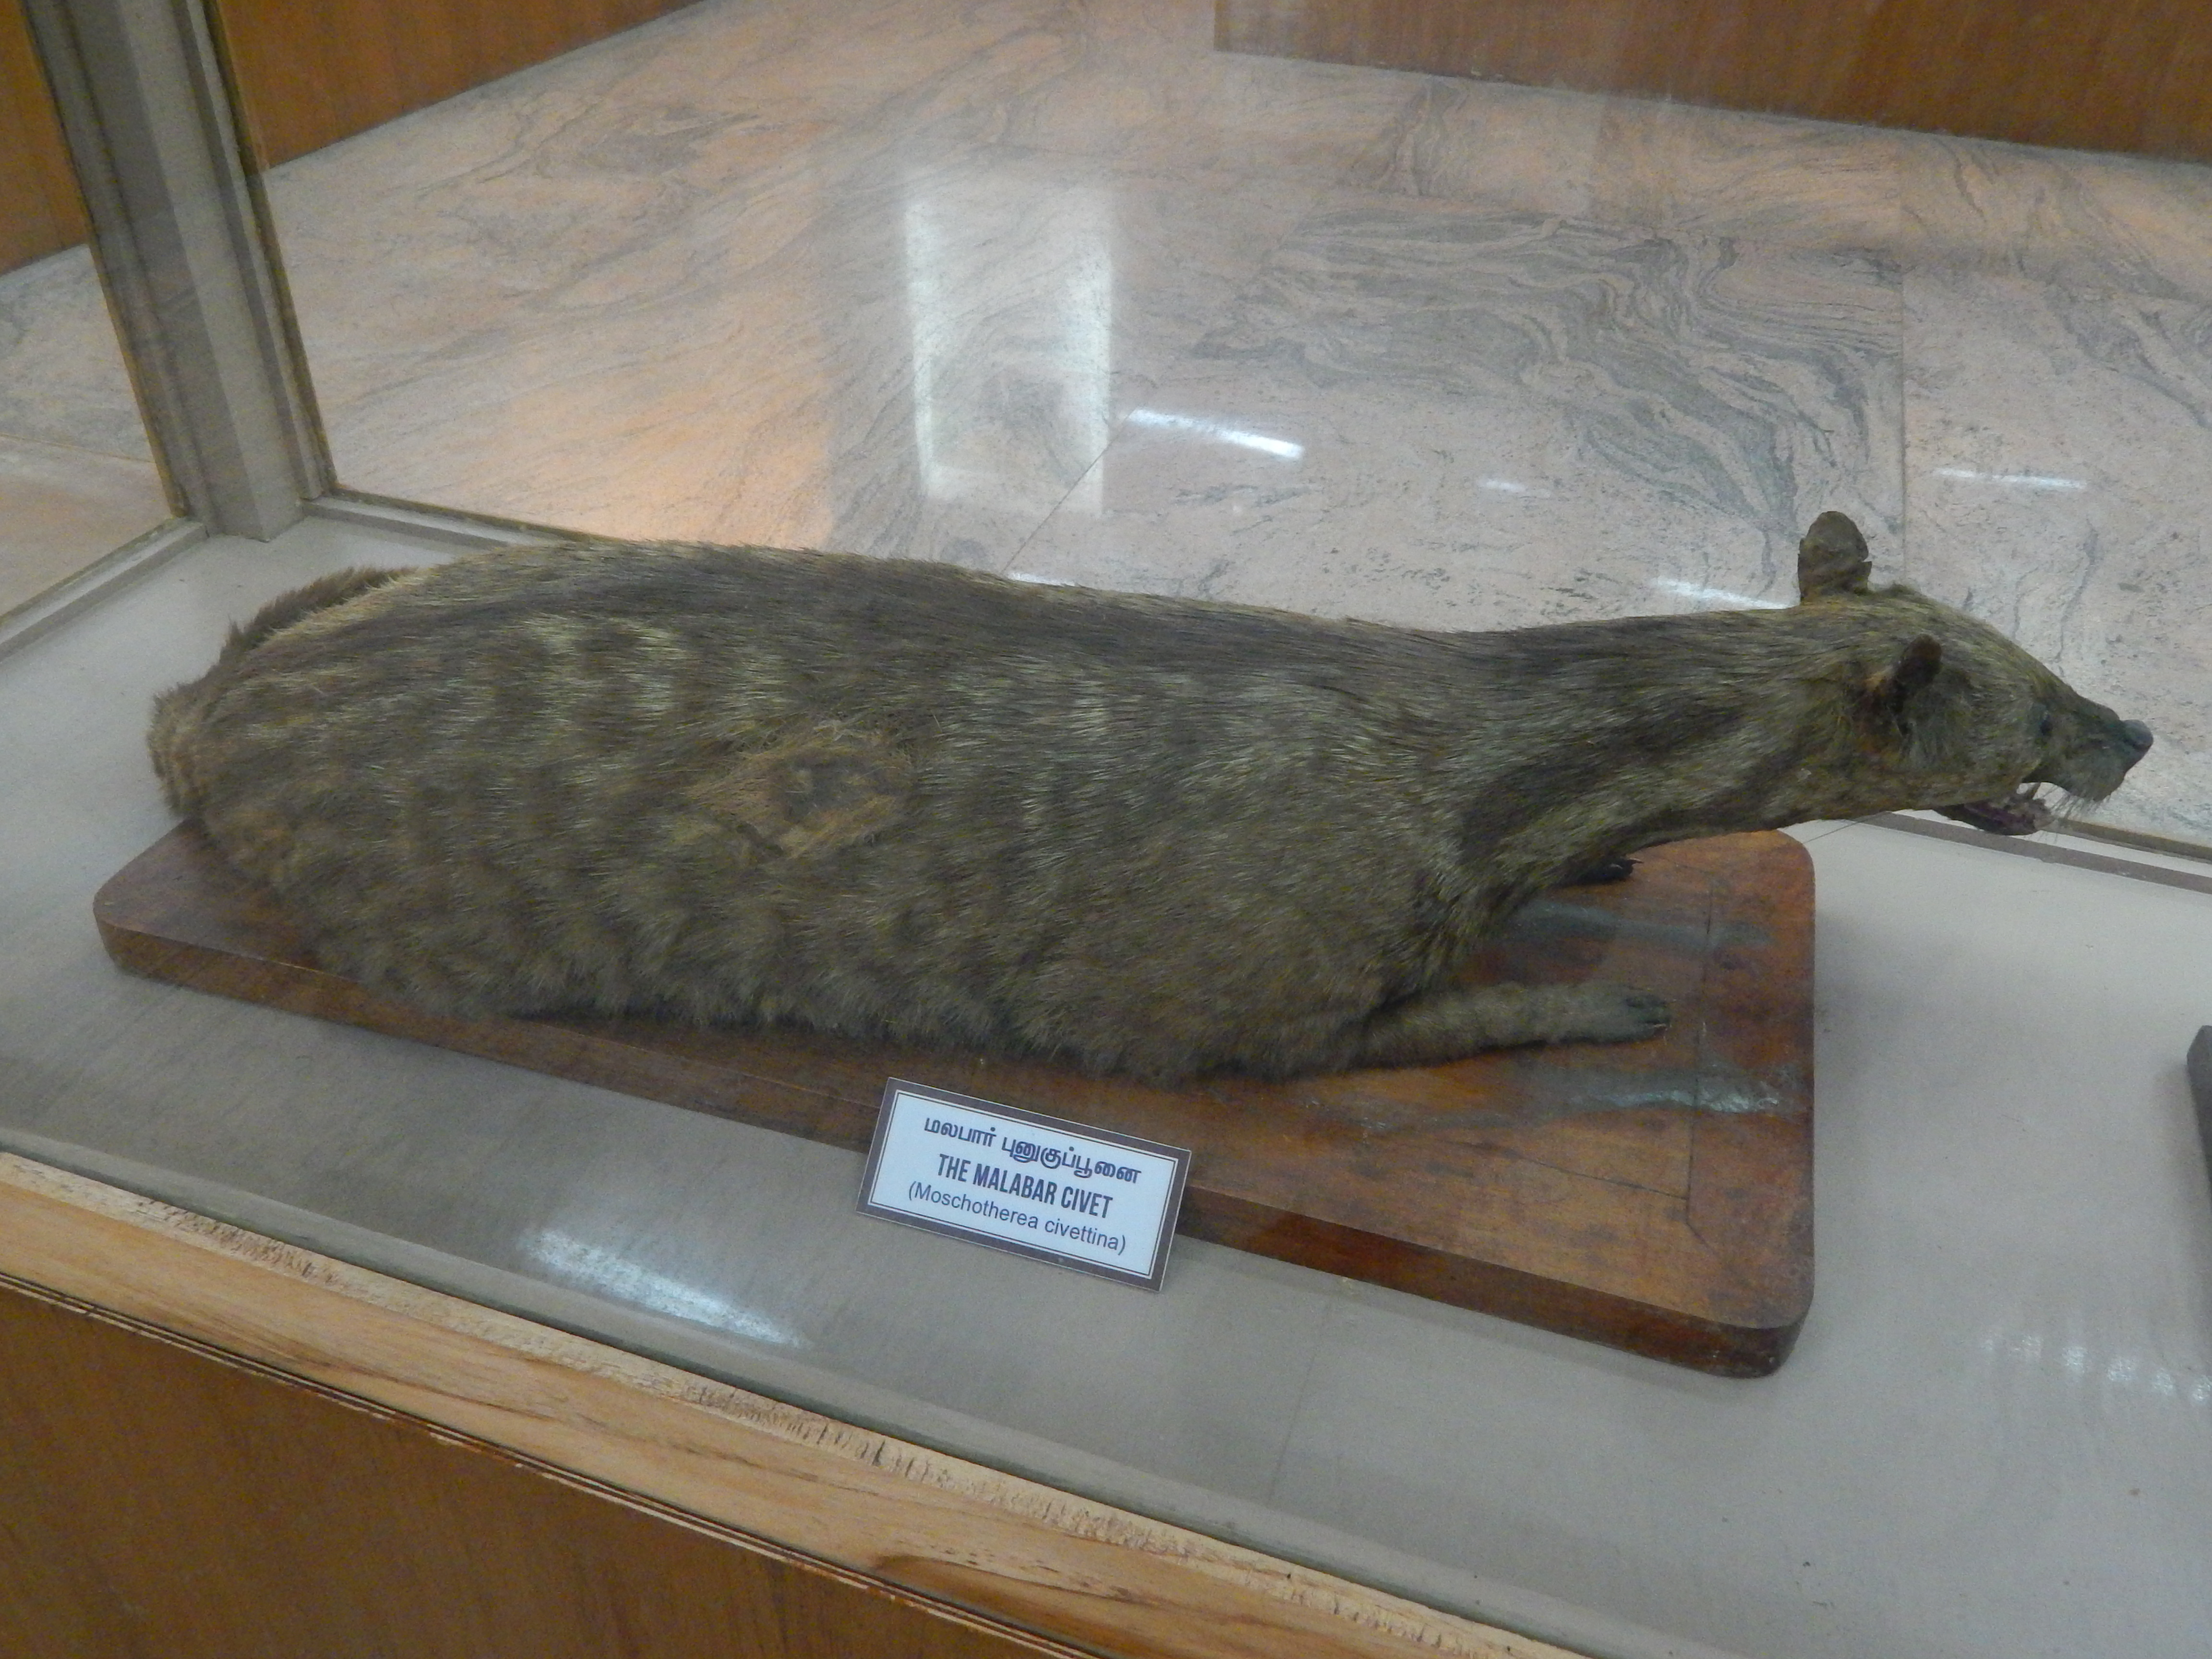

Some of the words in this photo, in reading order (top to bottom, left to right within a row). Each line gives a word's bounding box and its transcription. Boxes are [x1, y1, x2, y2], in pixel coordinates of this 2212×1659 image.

[922, 1113, 999, 1150] மலபாா்
[933, 1149, 973, 1187] THE
[968, 1159, 1060, 1206] MALABAR
[999, 1135, 1142, 1185] புனுகுப்பூனை
[910, 1180, 1041, 1232] Moschotherea
[1055, 1184, 1116, 1222] CIVET
[1041, 1214, 1121, 1254] civettina